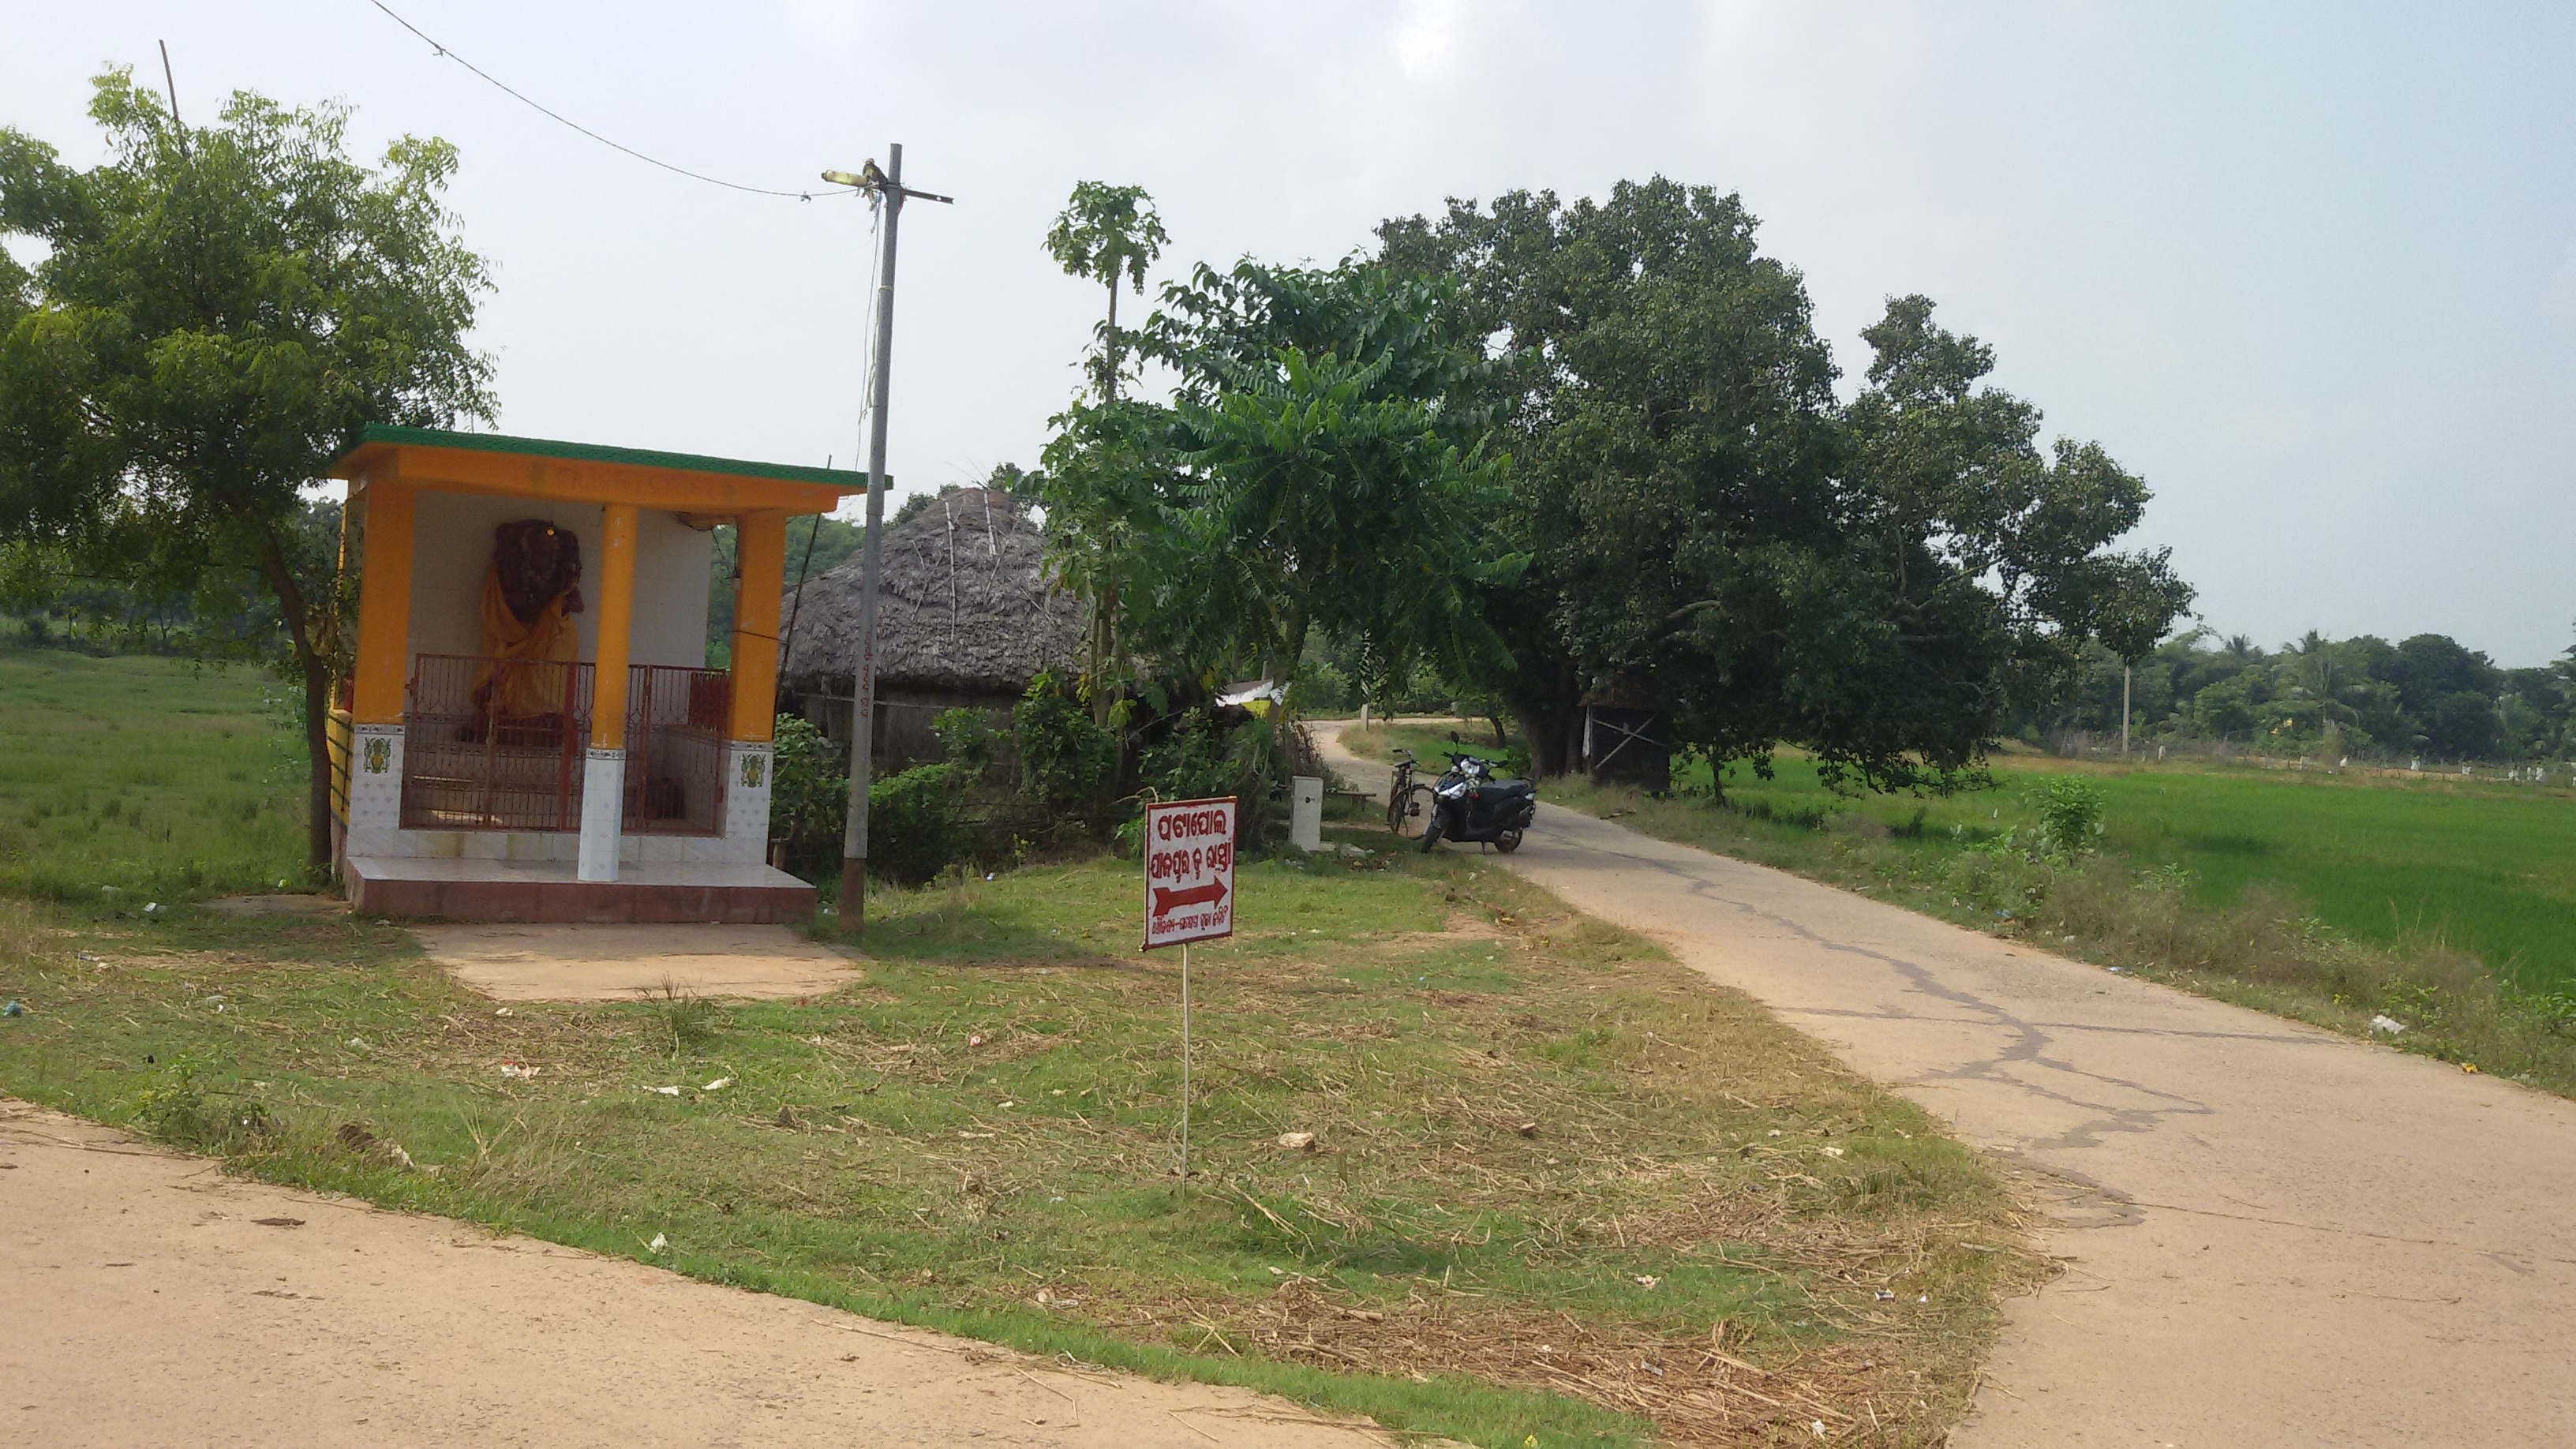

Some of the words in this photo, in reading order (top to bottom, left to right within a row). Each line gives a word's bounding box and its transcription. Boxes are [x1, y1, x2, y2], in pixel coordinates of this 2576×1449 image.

[1154, 803, 1229, 844] ପଟାପୋଲ
[1148, 841, 1193, 886] ଯାଜପୁର
[1187, 845, 1206, 884] କୁ
[1200, 837, 1235, 877] ରାସ୍ତା